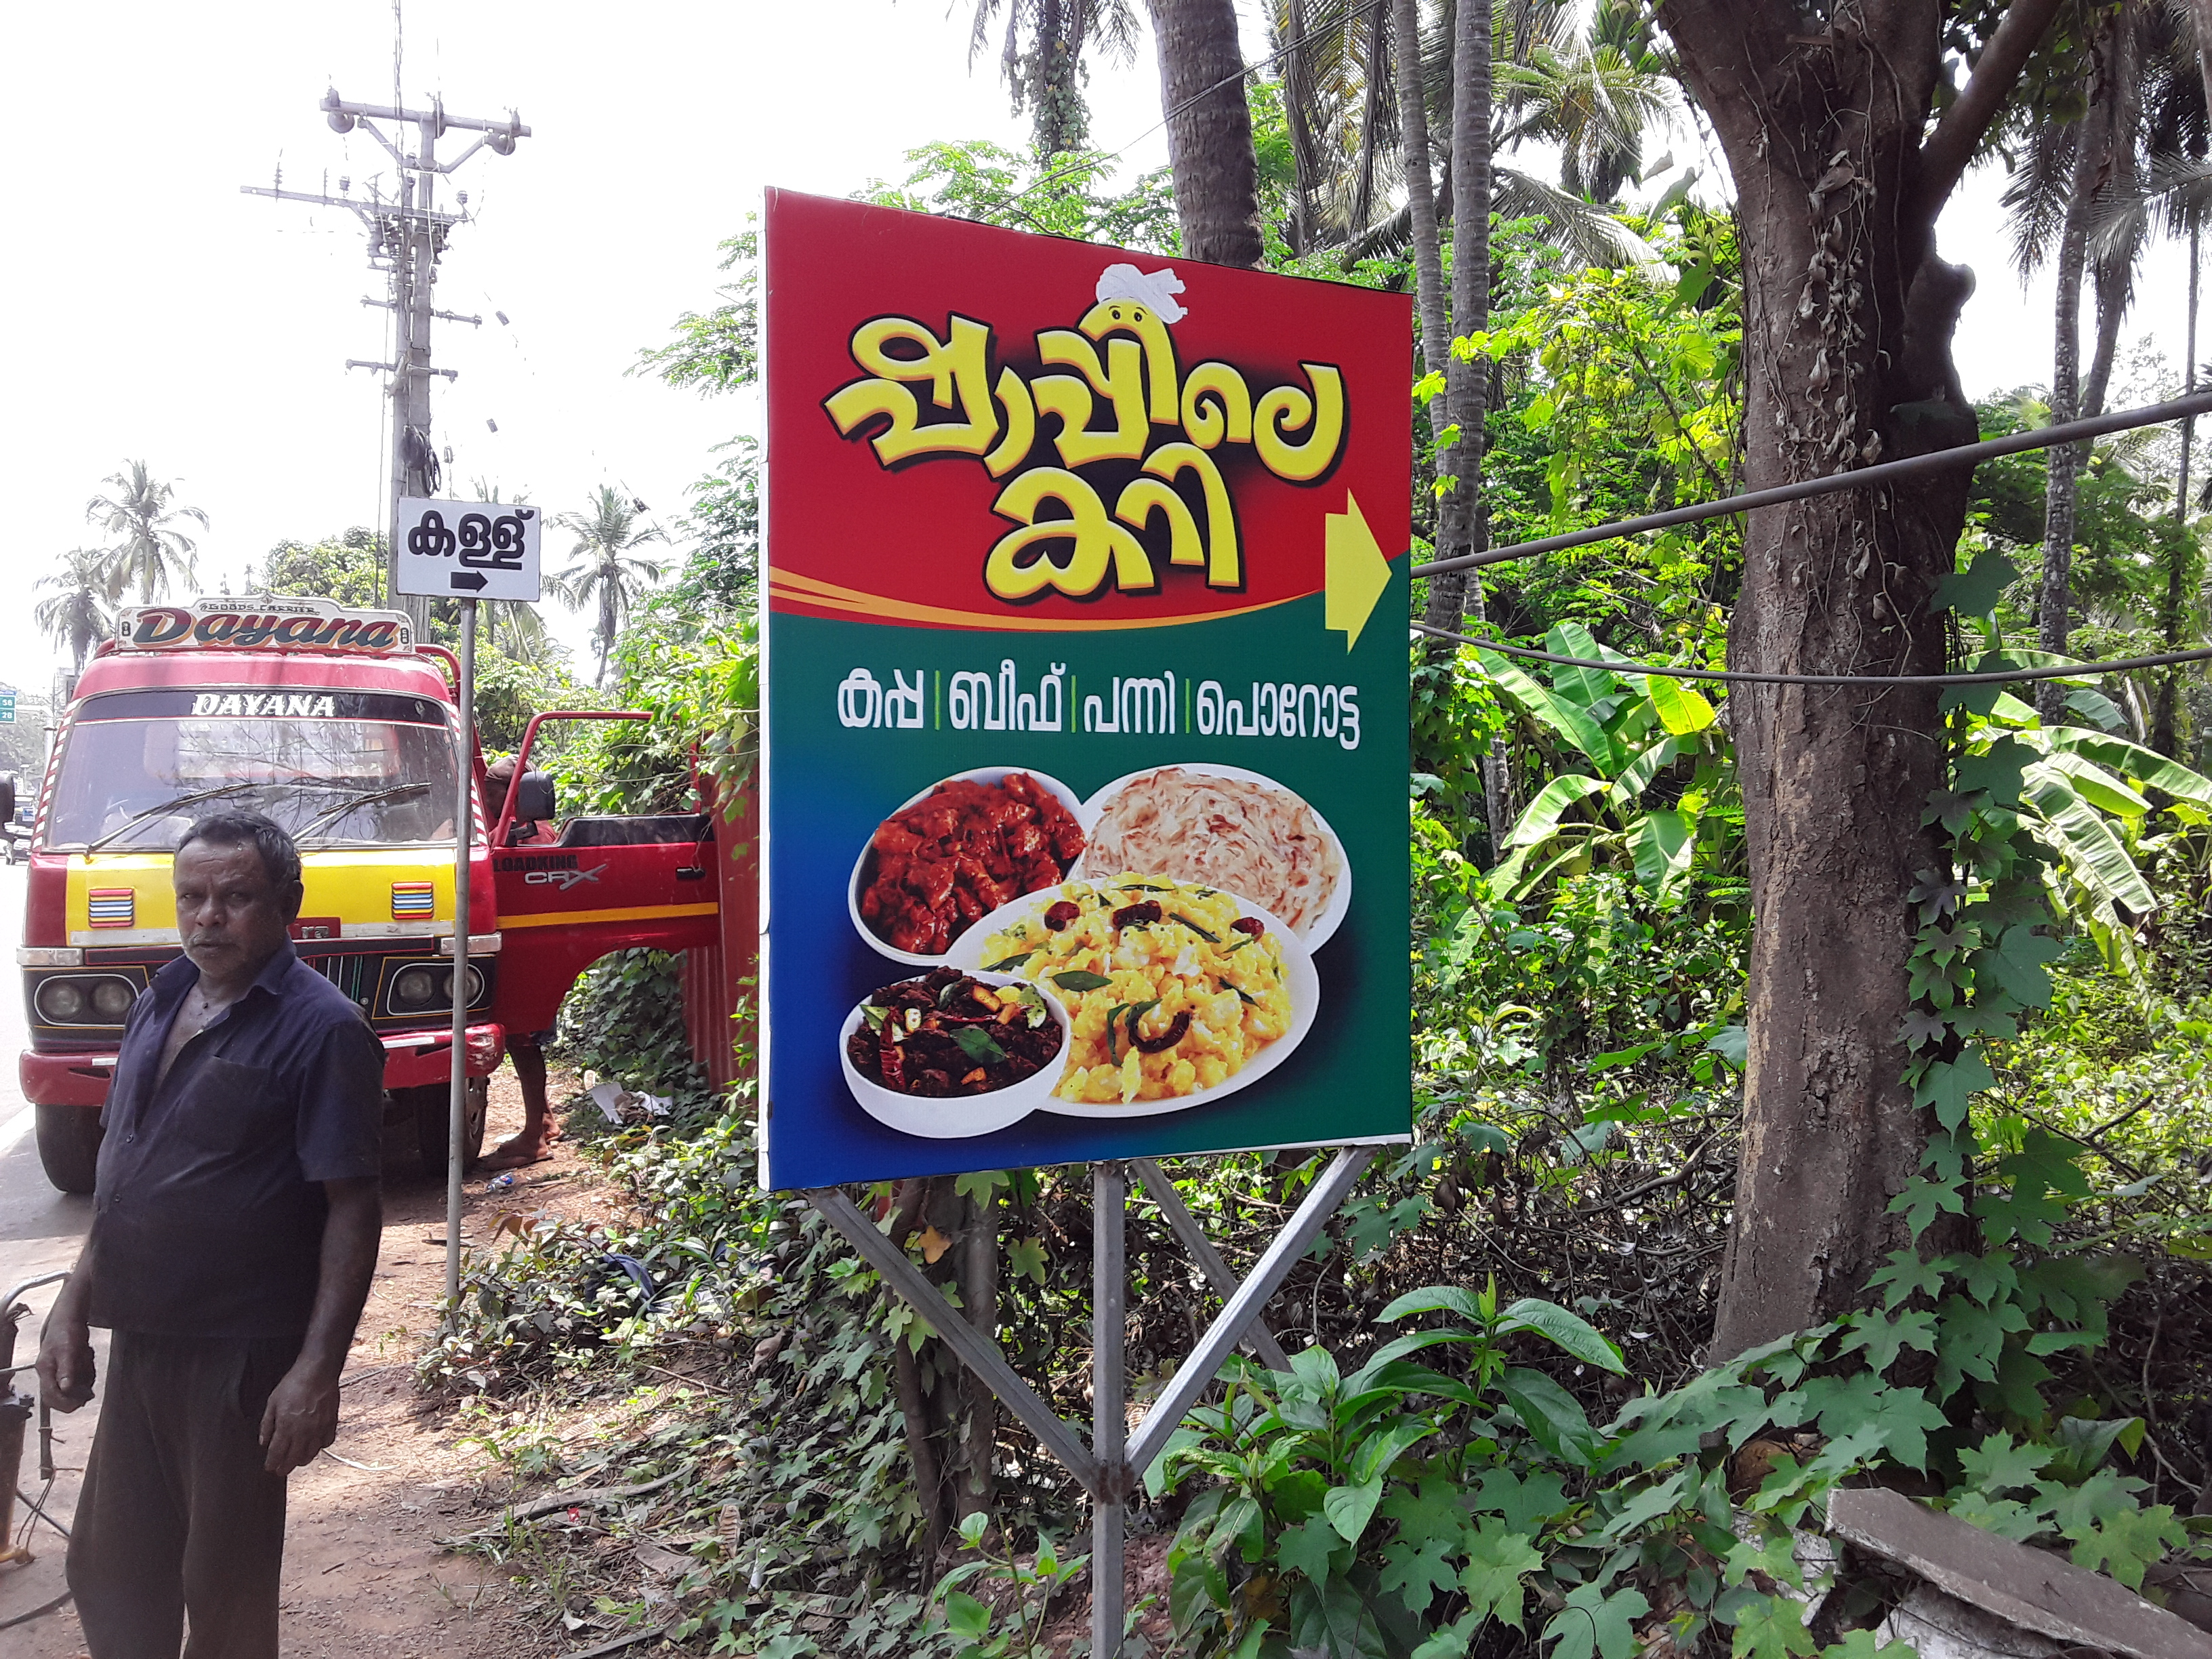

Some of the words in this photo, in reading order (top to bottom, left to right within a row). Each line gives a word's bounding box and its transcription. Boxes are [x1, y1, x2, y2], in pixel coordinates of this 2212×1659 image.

[400, 498, 542, 579] കള്ള്
[126, 597, 406, 658] Dayana
[188, 685, 340, 726] DAYANA
[825, 658, 935, 739] തപ്പ
[937, 656, 1073, 744] ബീഫ്
[1080, 661, 1191, 751] പന്നി
[1186, 670, 1368, 758] പൊറോട്ട